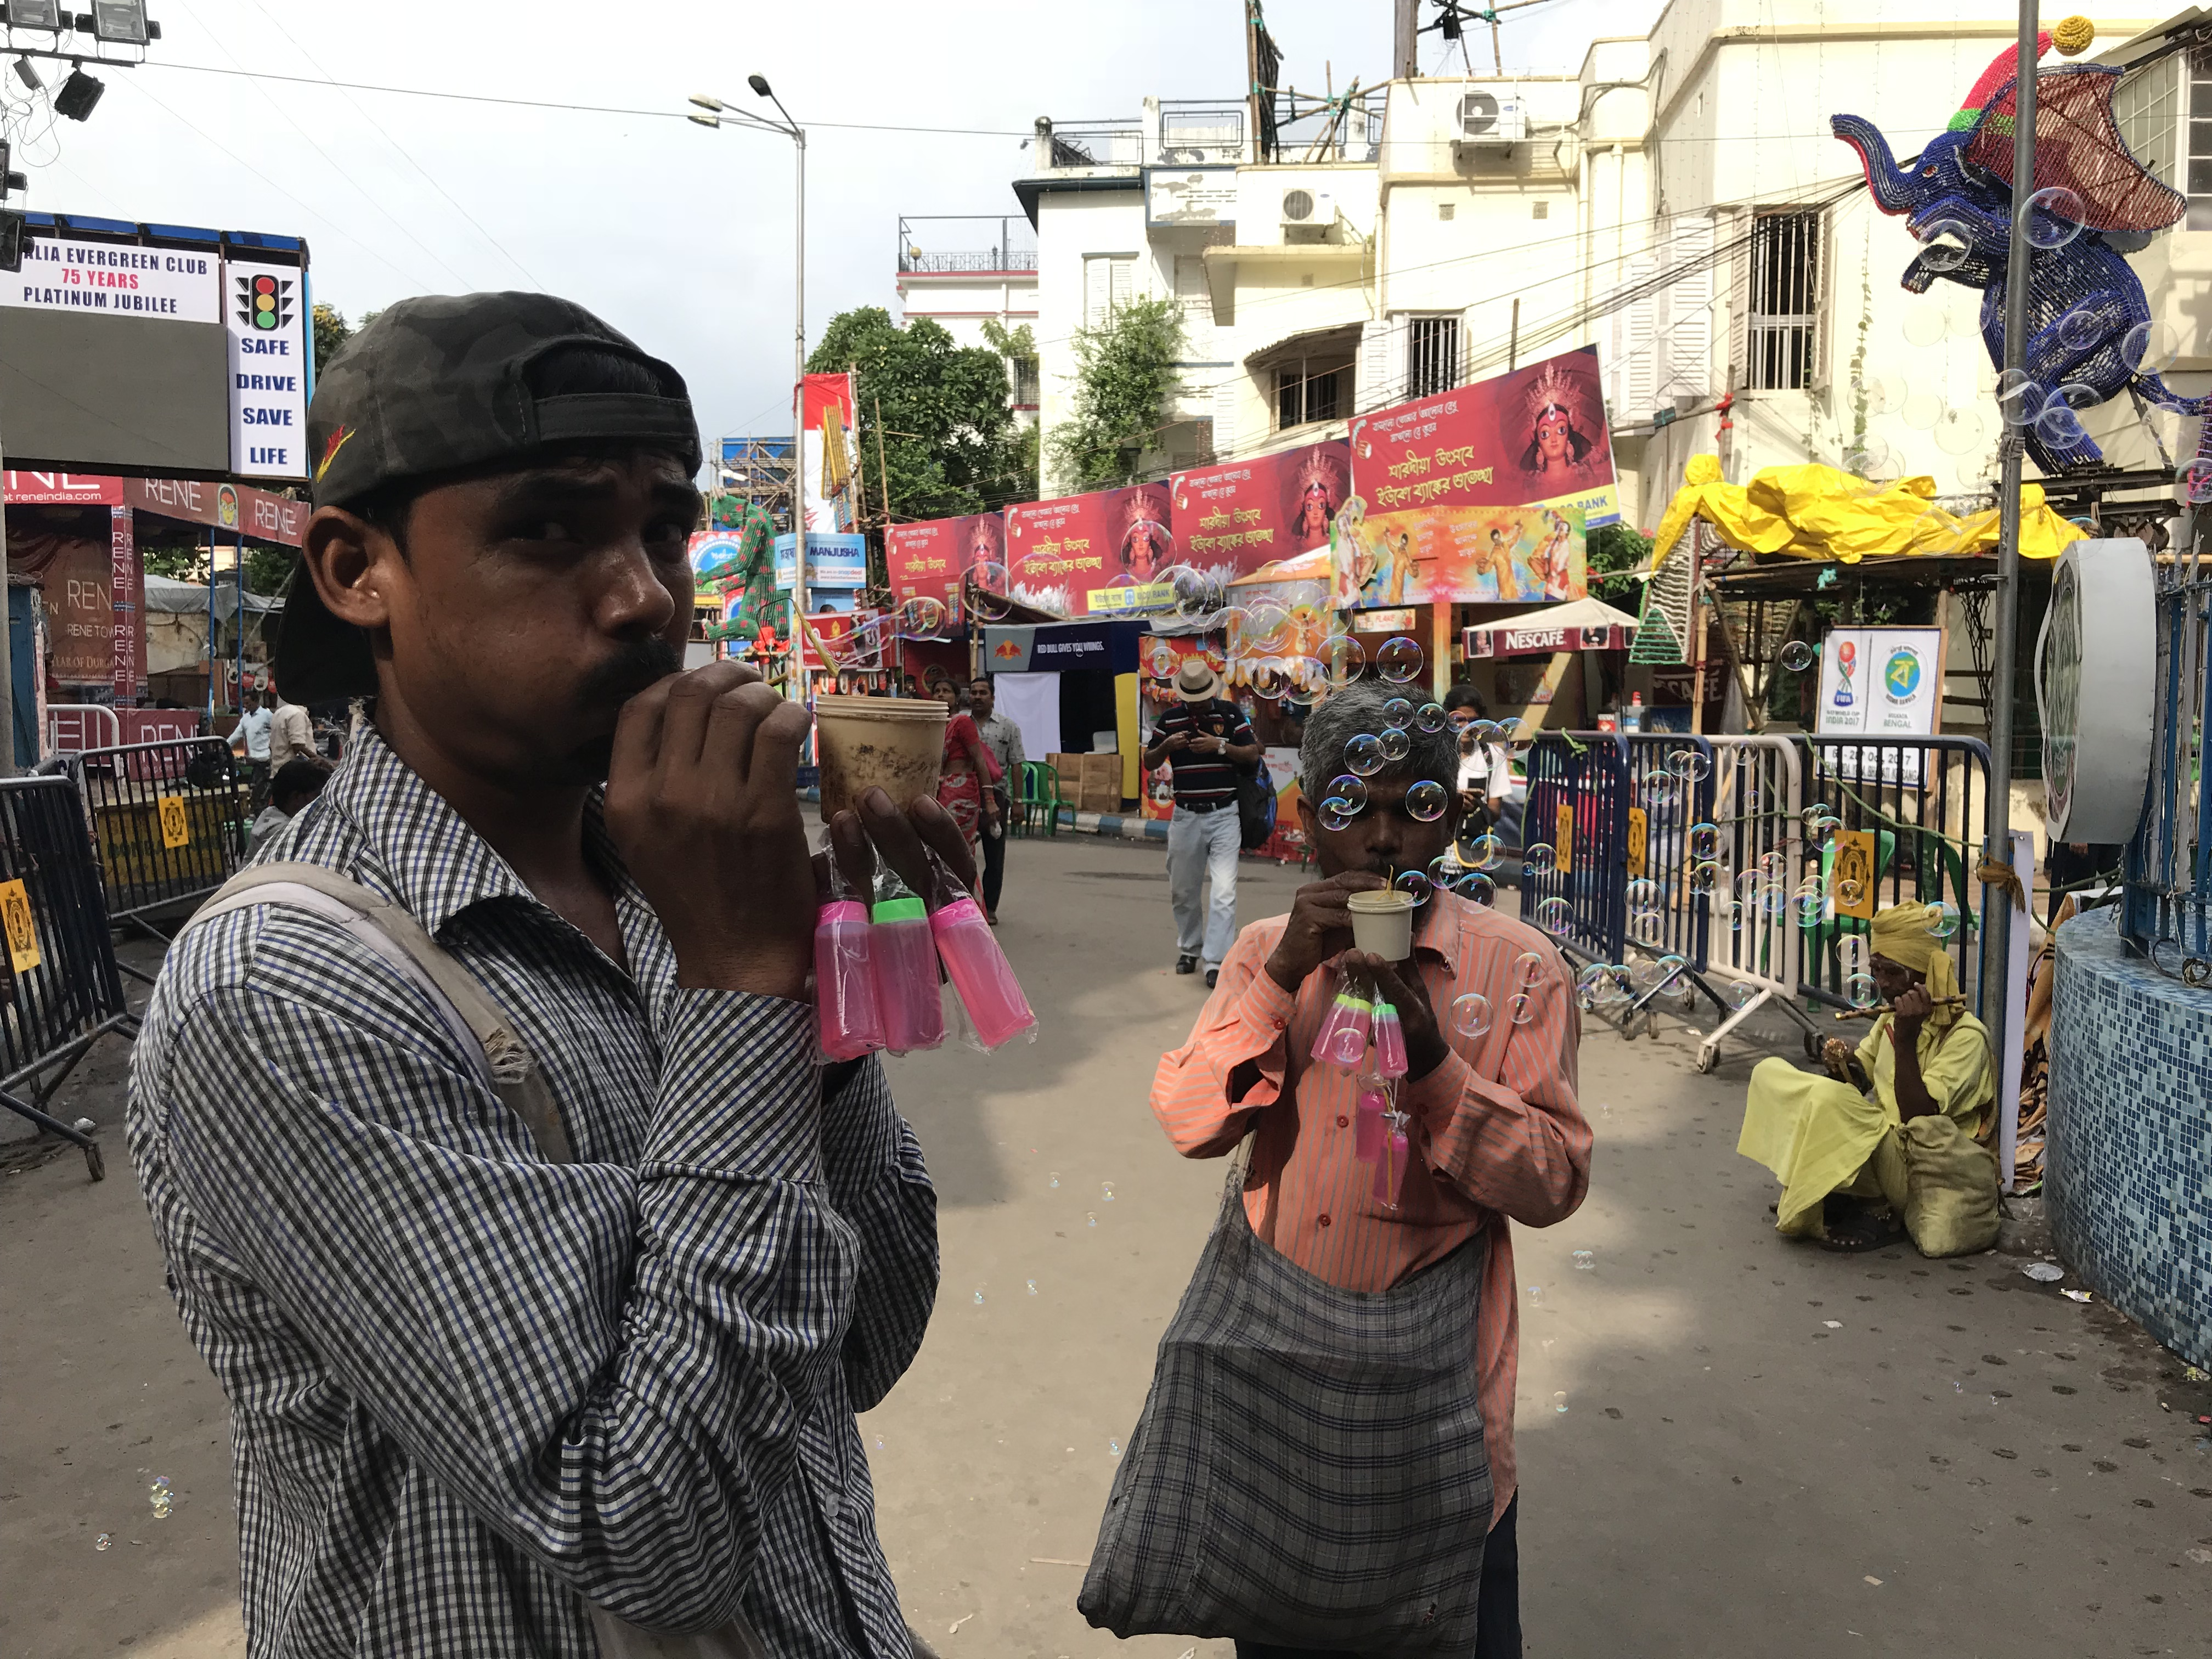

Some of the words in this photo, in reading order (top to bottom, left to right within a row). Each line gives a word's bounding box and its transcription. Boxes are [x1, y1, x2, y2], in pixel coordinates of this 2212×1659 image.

[24, 239, 63, 264] LIA
[59, 267, 84, 288] 75
[65, 246, 163, 273] EVERGREEN
[85, 265, 143, 295] YEARS
[164, 254, 212, 276] CLUB
[20, 285, 110, 312] PLATINUM
[111, 292, 179, 316] JUBILEE
[239, 333, 291, 358] SAFE
[234, 371, 298, 396] DRIVE
[242, 403, 297, 430] SAVE
[1391, 408, 1421, 432] তোমার
[1409, 420, 1442, 442] রে ভুবন
[1413, 401, 1449, 423] আলোর
[247, 444, 290, 469] LIFE
[1384, 445, 1435, 486] শারদীয়া
[1430, 442, 1479, 470] উৎসবে
[1222, 482, 1240, 500] ভুবন
[1370, 480, 1416, 510] ইউকো
[1409, 471, 1455, 505] ব্যাঙ্কের
[253, 495, 303, 538] RENE
[1194, 501, 1234, 535] শারদীয়া
[1228, 503, 1268, 528] ডিসেবে
[808, 544, 861, 560] MANJUSHA
[898, 549, 931, 574] শারদীয়া
[922, 554, 950, 573] উৎসা্ব
[1019, 555, 1052, 579] ইউকো
[1026, 531, 1064, 562] শারদীয়া
[1047, 554, 1076, 579] ব্যাকের
[1059, 533, 1093, 557] উৎসবে
[1184, 531, 1218, 556] ইউকো
[1216, 530, 1246, 556] ব্যাকের
[1032, 639, 1059, 654] REDBULL
[1055, 640, 1074, 657] GIVES
[1069, 635, 1086, 653] S YOU W
[1081, 639, 1107, 655] WINGS.
[1502, 618, 1573, 653] NESCAFE